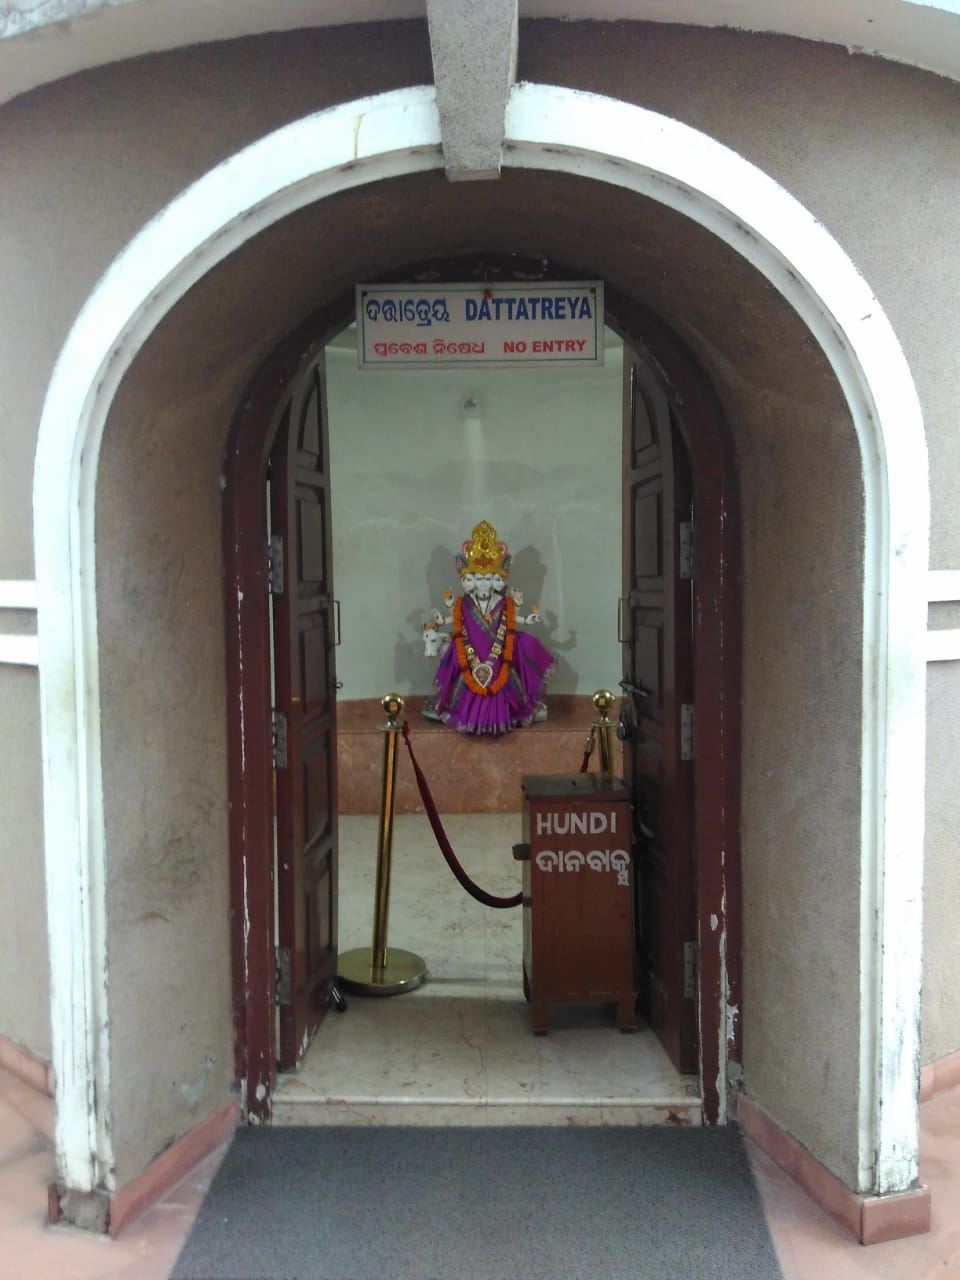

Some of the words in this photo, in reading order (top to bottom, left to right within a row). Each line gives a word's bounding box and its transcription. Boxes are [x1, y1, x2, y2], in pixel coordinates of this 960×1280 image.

[361, 292, 451, 330] ଦତ୍ତାତ୍ରେୟ
[462, 289, 593, 325] DATTATREYA
[367, 335, 432, 359] ପ୍ରବେଶ
[430, 334, 488, 359] ନିଷେଧ
[497, 335, 527, 359] NO
[530, 334, 588, 356] ENTRY
[533, 808, 620, 837] HUNDI
[533, 843, 638, 891] ଦାନବାକ୍ସ